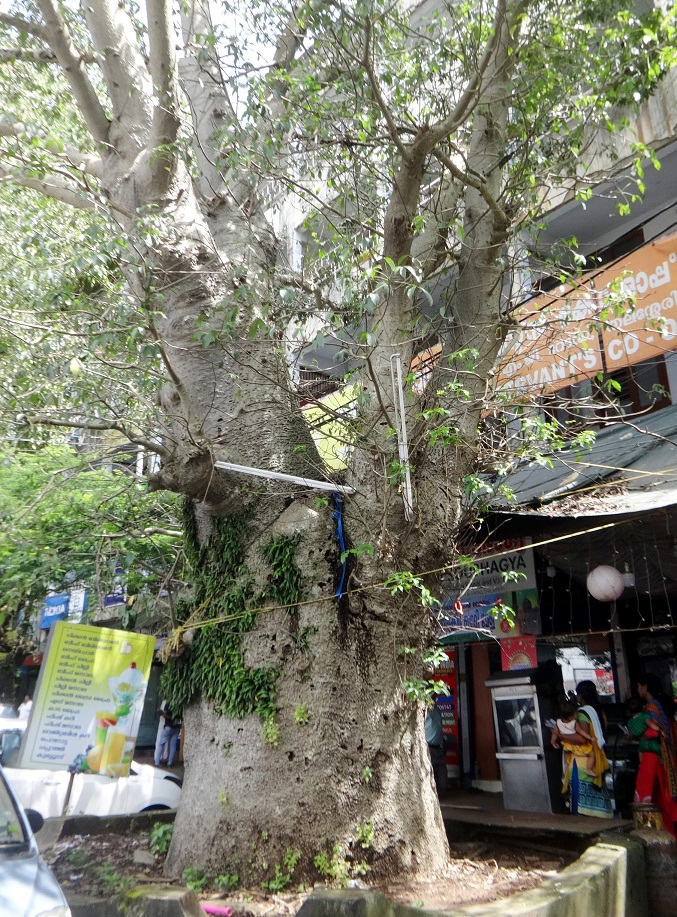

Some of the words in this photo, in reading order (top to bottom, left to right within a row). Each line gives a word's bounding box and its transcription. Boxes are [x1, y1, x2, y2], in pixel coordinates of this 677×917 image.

[602, 285, 677, 337] തലശ്ശേരി
[489, 342, 599, 412] SERVANT
[450, 551, 530, 583] HAGYA